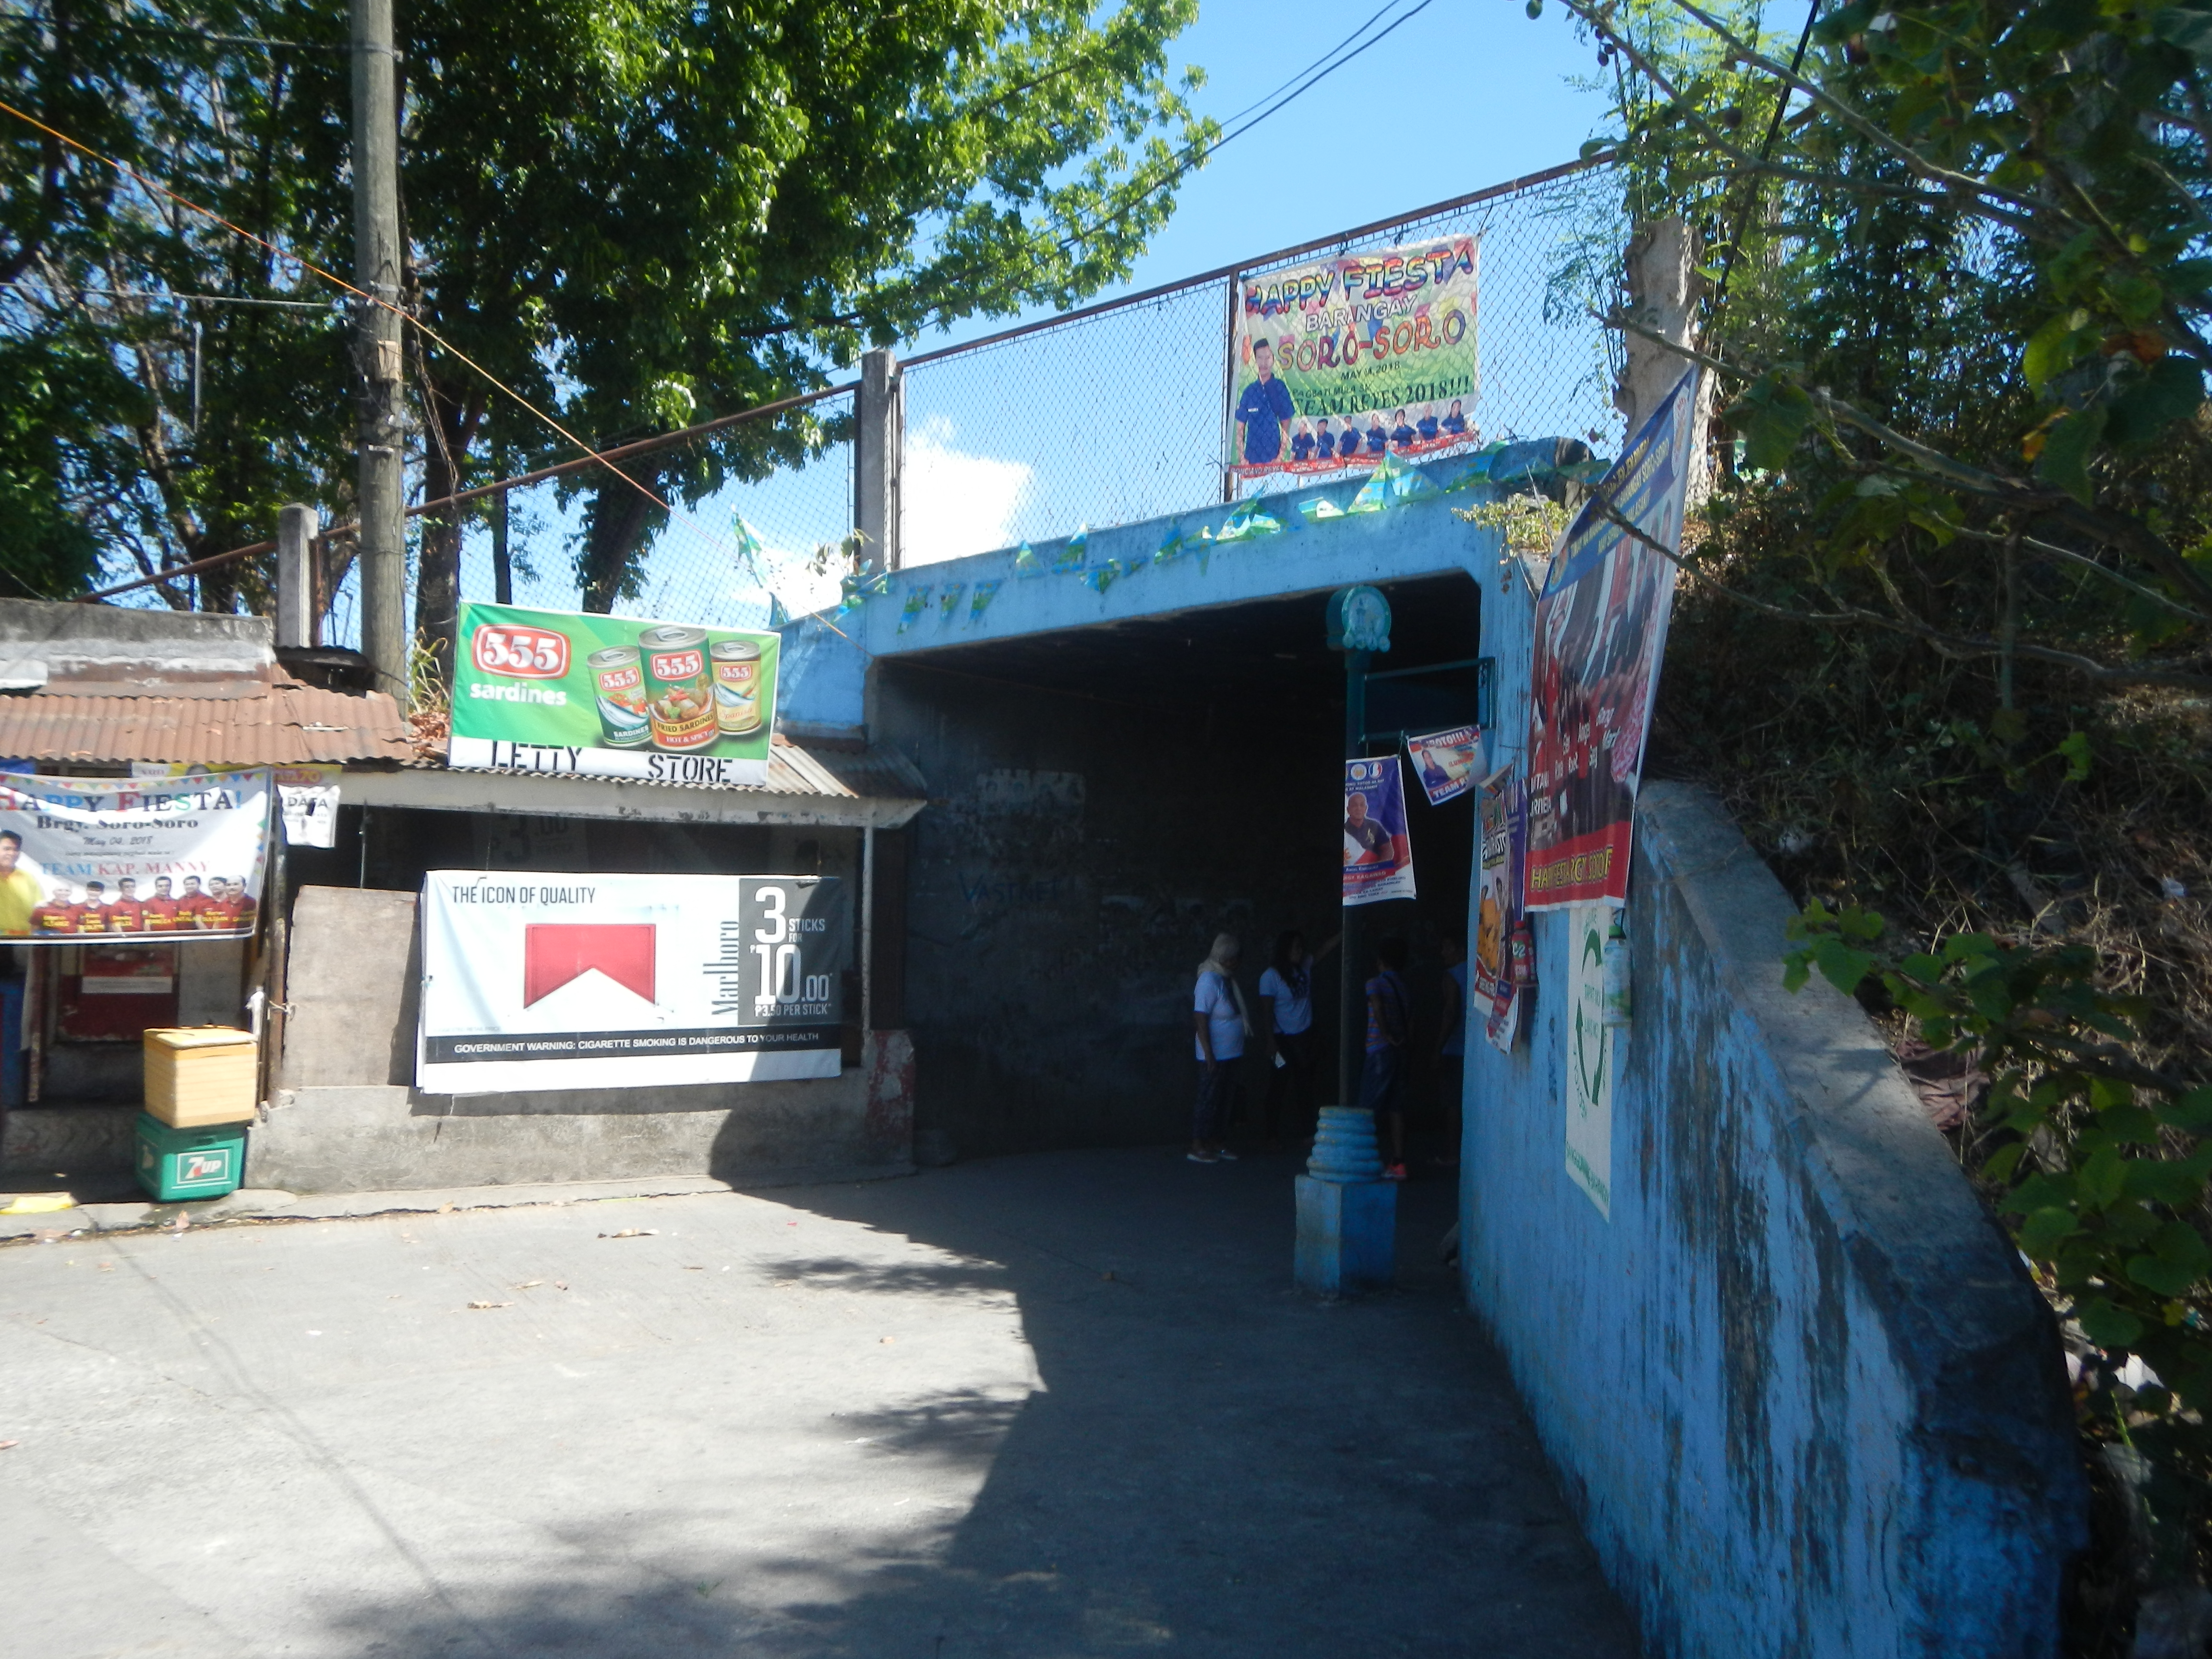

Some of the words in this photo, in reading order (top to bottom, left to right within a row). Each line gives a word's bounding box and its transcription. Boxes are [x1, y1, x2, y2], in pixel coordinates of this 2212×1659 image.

[1338, 241, 1473, 303] FIESTA
[1240, 264, 1340, 320] HAPPY
[1301, 293, 1419, 337] BARANGAY
[1373, 305, 1472, 364] SORO
[1274, 327, 1363, 381] SORO
[1337, 356, 1404, 384] MAY04,2018
[1393, 375, 1457, 408] 2018!
[468, 618, 569, 678] 555
[654, 650, 702, 682] 555
[465, 677, 570, 710] sardines
[483, 736, 586, 776] LETTY
[644, 749, 738, 789] STORE
[2, 781, 107, 819] HAPPY
[116, 782, 247, 818] FIESTA!
[31, 811, 91, 840] Brgy-
[95, 814, 203, 836] Soro-Soro
[78, 832, 154, 853] May04.2018
[36, 854, 96, 883] TEAM
[95, 857, 216, 878] KAP.MANNY
[449, 882, 480, 907] THE
[477, 885, 519, 907] ICON
[516, 885, 536, 908] OF
[536, 883, 597, 909] QUALITY
[746, 879, 787, 948] 3
[786, 915, 828, 935] STICKS
[750, 938, 805, 1009] 10
[749, 1001, 785, 1020] P3.50
[781, 1000, 804, 1021] PER
[800, 1000, 828, 1017] STICK
[452, 1038, 525, 1057] GOVERNMENT
[522, 1038, 578, 1053] WARNING:
[574, 1037, 633, 1051] CIGARETTE
[629, 1034, 680, 1049] SMOKING
[674, 1032, 689, 1048] IS
[685, 1032, 748, 1047] DANGEROUS
[742, 1032, 760, 1047] TO
[756, 1031, 788, 1046] YOUR
[784, 1031, 821, 1044] HEALTH